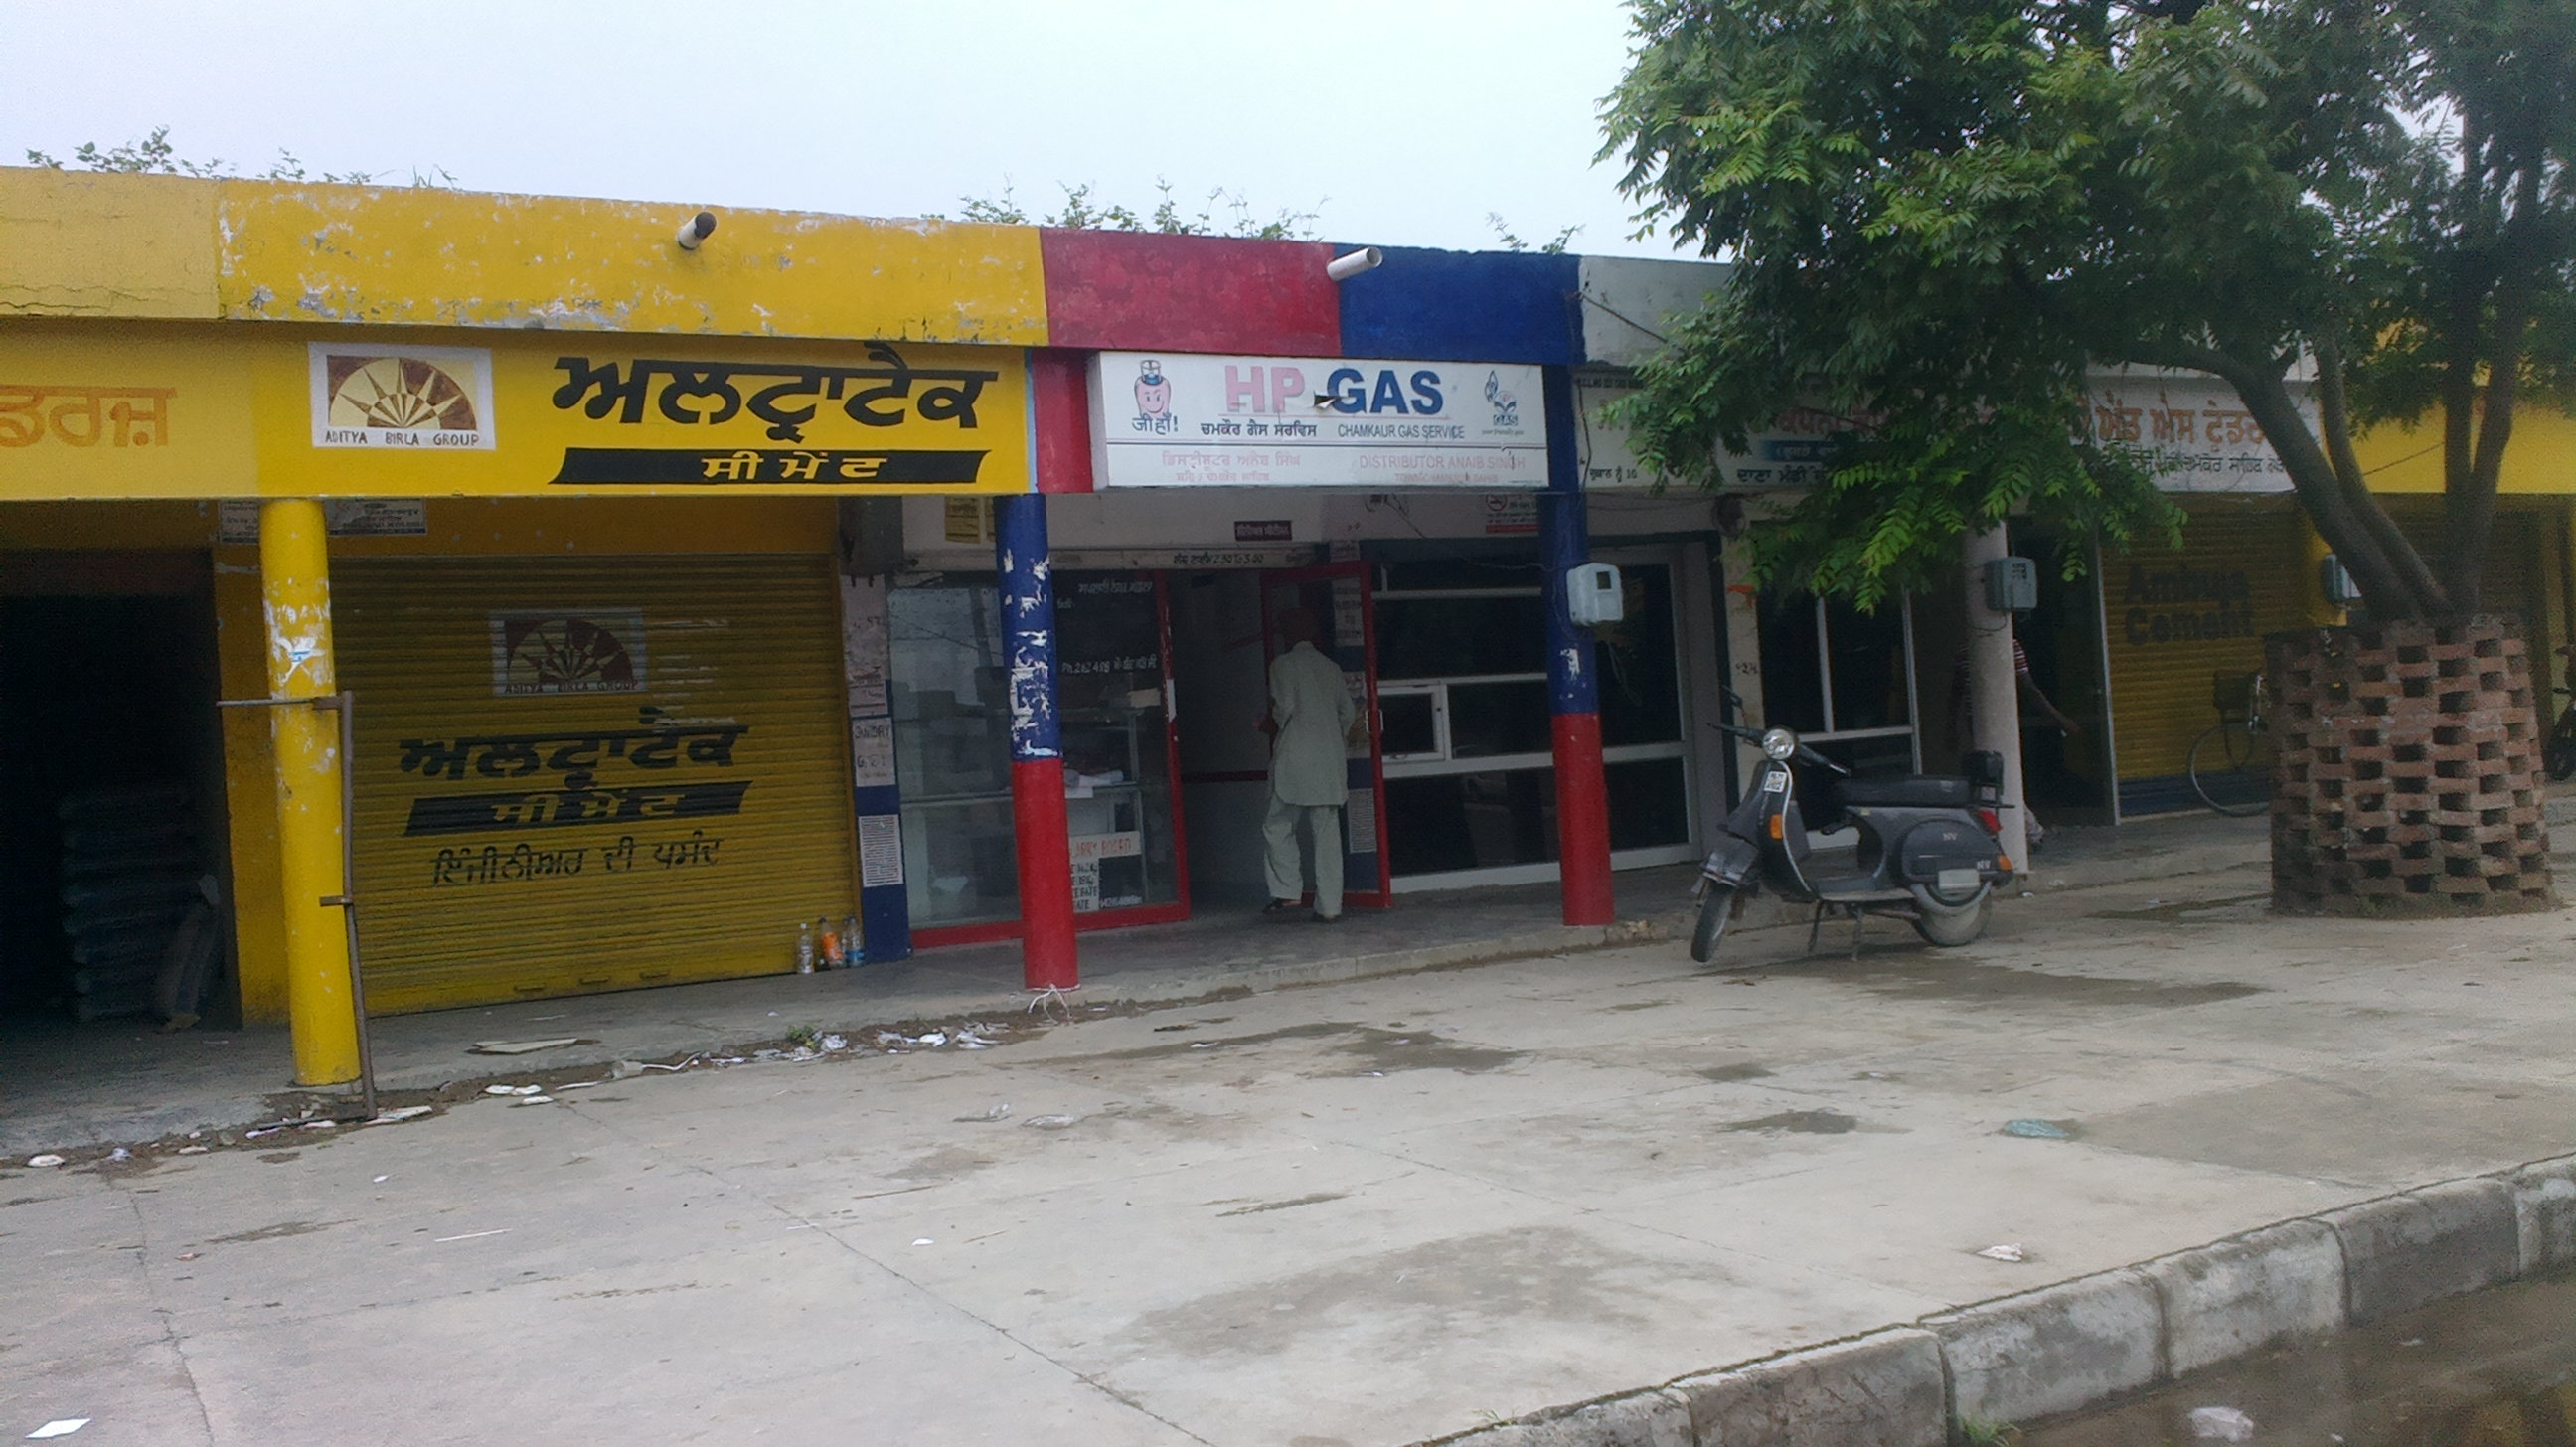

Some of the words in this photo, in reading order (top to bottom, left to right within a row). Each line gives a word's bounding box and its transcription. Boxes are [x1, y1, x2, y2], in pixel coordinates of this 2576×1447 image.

[537, 335, 1007, 447] ਅਲਟ੍ਰਾਟੈਕ
[1216, 356, 1311, 416] HP
[1320, 360, 1452, 419] GAS
[2, 374, 186, 461] ਡਰਜ਼
[317, 425, 373, 447] ADITYA
[379, 426, 426, 448] BIRLA
[426, 429, 483, 449] GROUP
[1126, 411, 1154, 436] जीे
[1152, 410, 1183, 440] हाँ।
[1195, 416, 1244, 440] ਚਮਕੌਰ
[1242, 417, 1271, 444] ਗੇਸ
[1271, 415, 1324, 444] ਸਰਵਿਸ
[1334, 418, 1398, 442] CHAMKAUR
[1395, 418, 1419, 442] GAS
[1419, 420, 1469, 444] SERVICE
[2144, 388, 2199, 450] ਐਸ
[2199, 393, 2248, 453] ਟੇਡ
[694, 448, 897, 484] ਸੀ ਮੇਂ ਟ
[1732, 462, 1775, 485] ਦਾਣਾ
[388, 701, 762, 790] ਅਲਟ੍ਰਾਟੈਕ
[478, 783, 700, 831] मीमेंट
[408, 836, 597, 901] ਇੰਜੀਨੀਅਰ
[591, 827, 643, 877] ਦੀ
[648, 823, 728, 874] ਪਸੰਦ